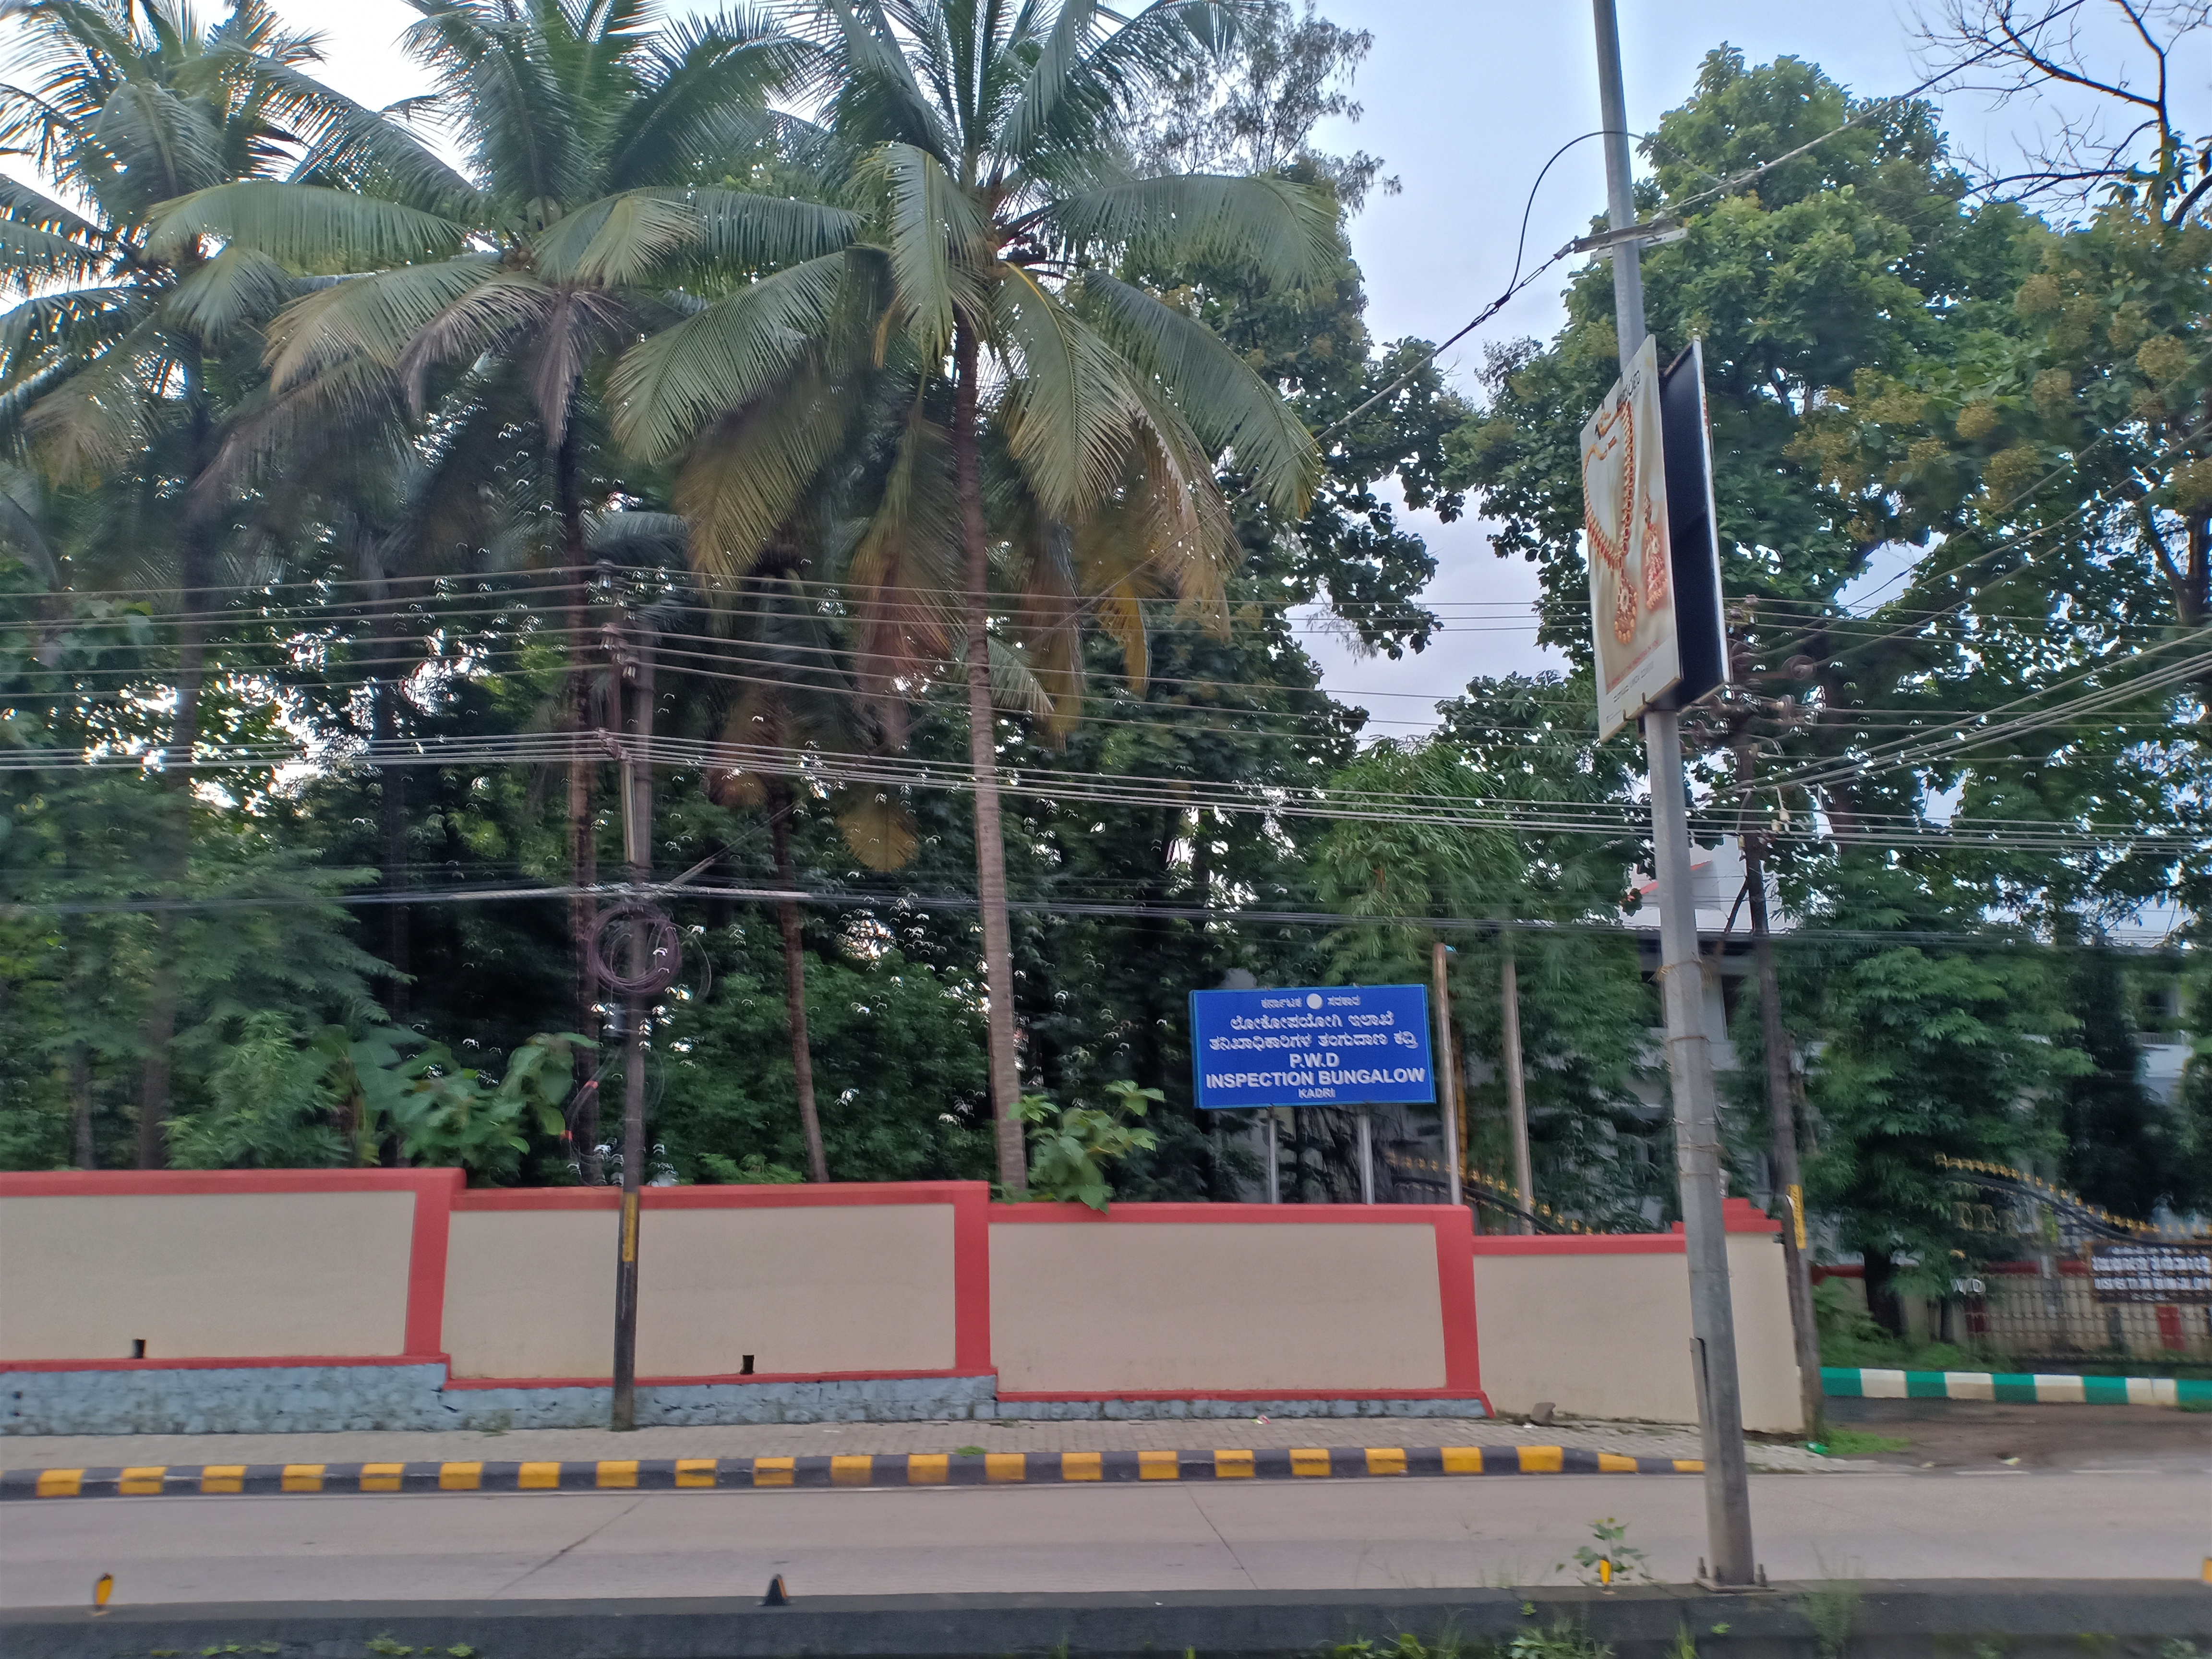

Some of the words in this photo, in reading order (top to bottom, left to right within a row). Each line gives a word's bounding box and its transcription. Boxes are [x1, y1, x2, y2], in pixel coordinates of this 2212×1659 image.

[1322, 991, 1362, 1010] ಸರಕಾರ
[1226, 1010, 1345, 1032] ಲೋಕೋಪಯೋಗಿ
[1205, 1030, 1314, 1053] ತನಿಖಾಧಿಕಾರಿಗಳ
[1316, 1029, 1392, 1049] ತಂಗುದಾಣ
[1390, 1024, 1422, 1053] ಕದ್ರ
[1284, 1051, 1341, 1071] P.W.D
[1202, 1067, 1318, 1089] INSPECTION
[1316, 1067, 1426, 1086] BUNGALOW
[1294, 1087, 1339, 1102] KADRI